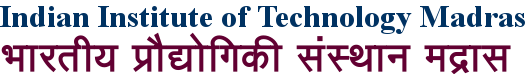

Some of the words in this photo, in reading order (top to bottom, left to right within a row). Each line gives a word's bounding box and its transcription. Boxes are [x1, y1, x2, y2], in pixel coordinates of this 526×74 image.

[0, 3, 92, 31] Indian
[96, 3, 216, 30] Institute
[215, 1, 253, 31] of
[257, 1, 413, 39] Technology
[417, 2, 526, 31] Madras
[3, 32, 123, 74] भारतीय
[130, 30, 285, 74] प्रौद्योगिकी
[295, 31, 412, 74] संस्‍थान
[423, 43, 511, 74] मद्रास